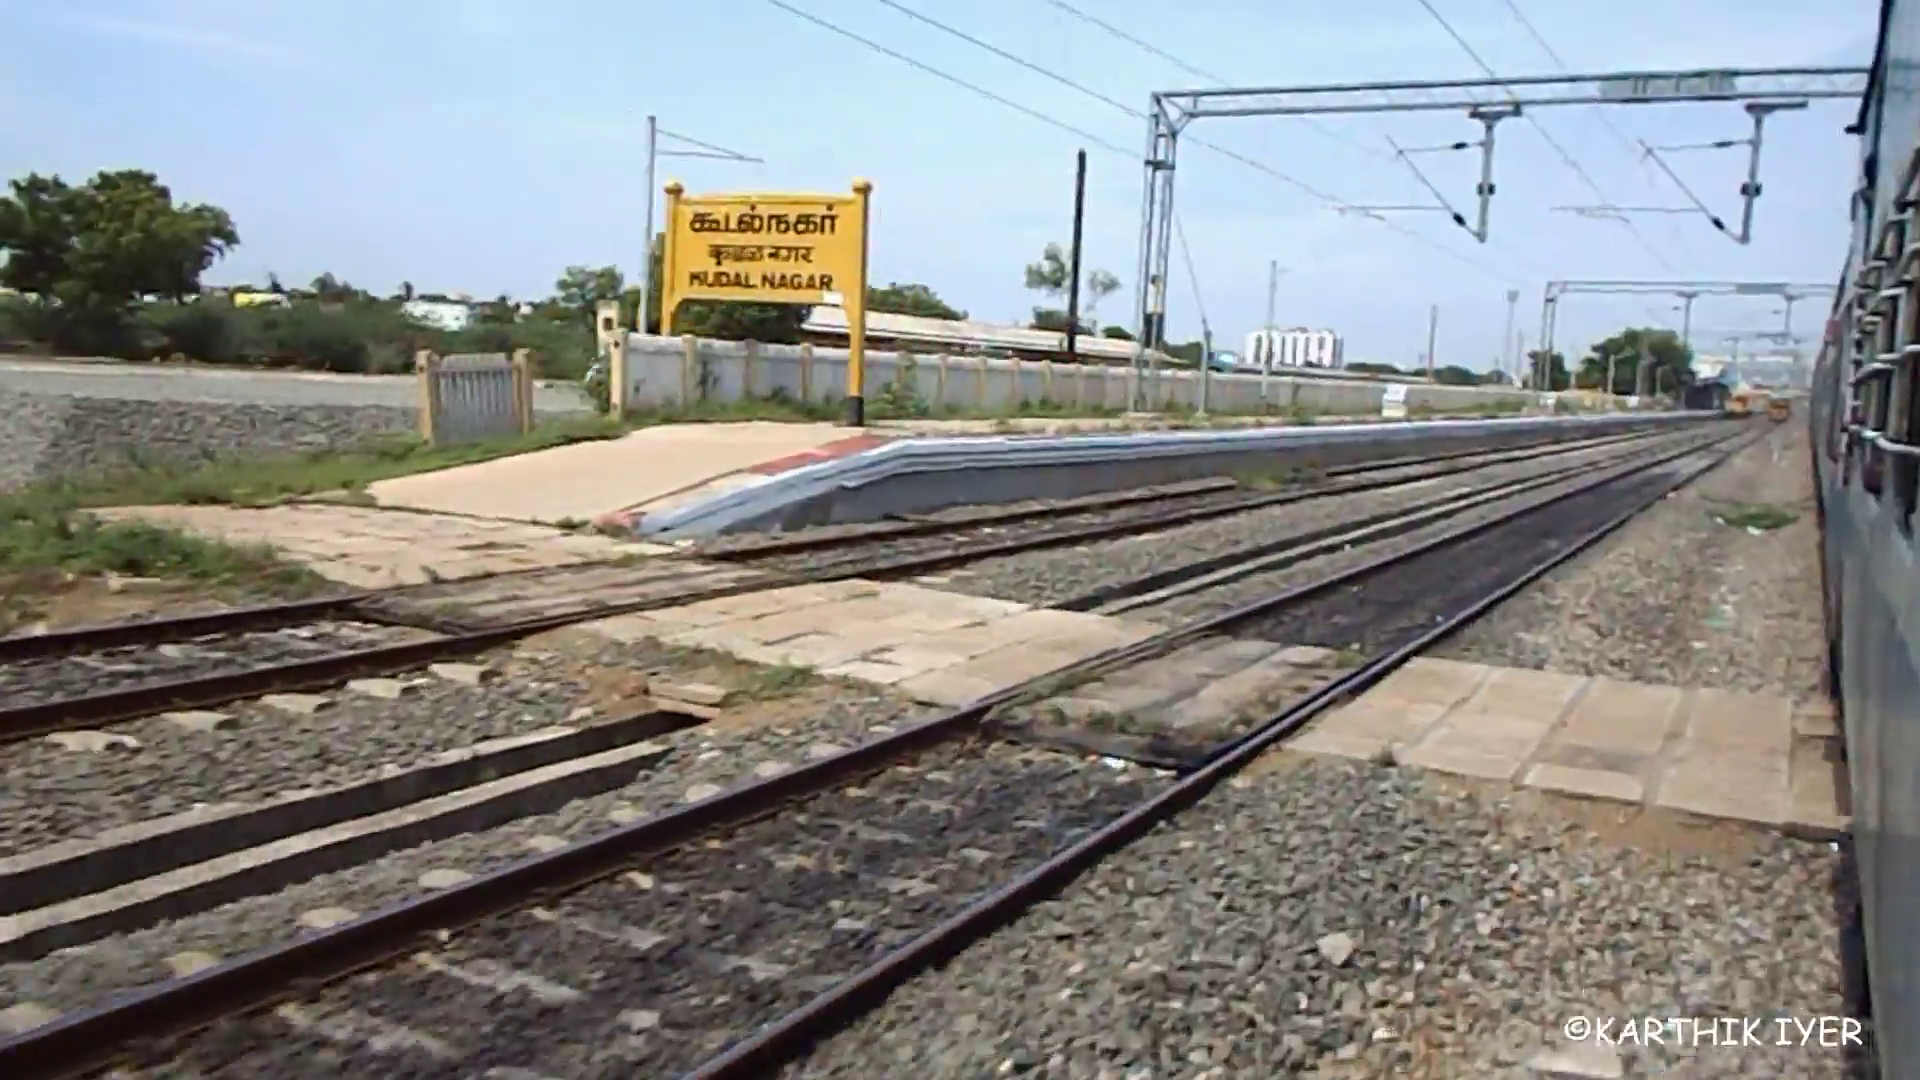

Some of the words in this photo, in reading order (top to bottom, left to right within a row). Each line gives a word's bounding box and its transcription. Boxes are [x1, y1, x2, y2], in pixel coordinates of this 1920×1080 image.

[683, 196, 843, 240] கூடல்நகா்
[702, 237, 818, 269] कुडळनगर
[685, 265, 758, 292] KUDAL
[750, 261, 836, 299] NAGAR
[1561, 1007, 1767, 1052] KARTHIK
[1769, 1010, 1863, 1055] IYER